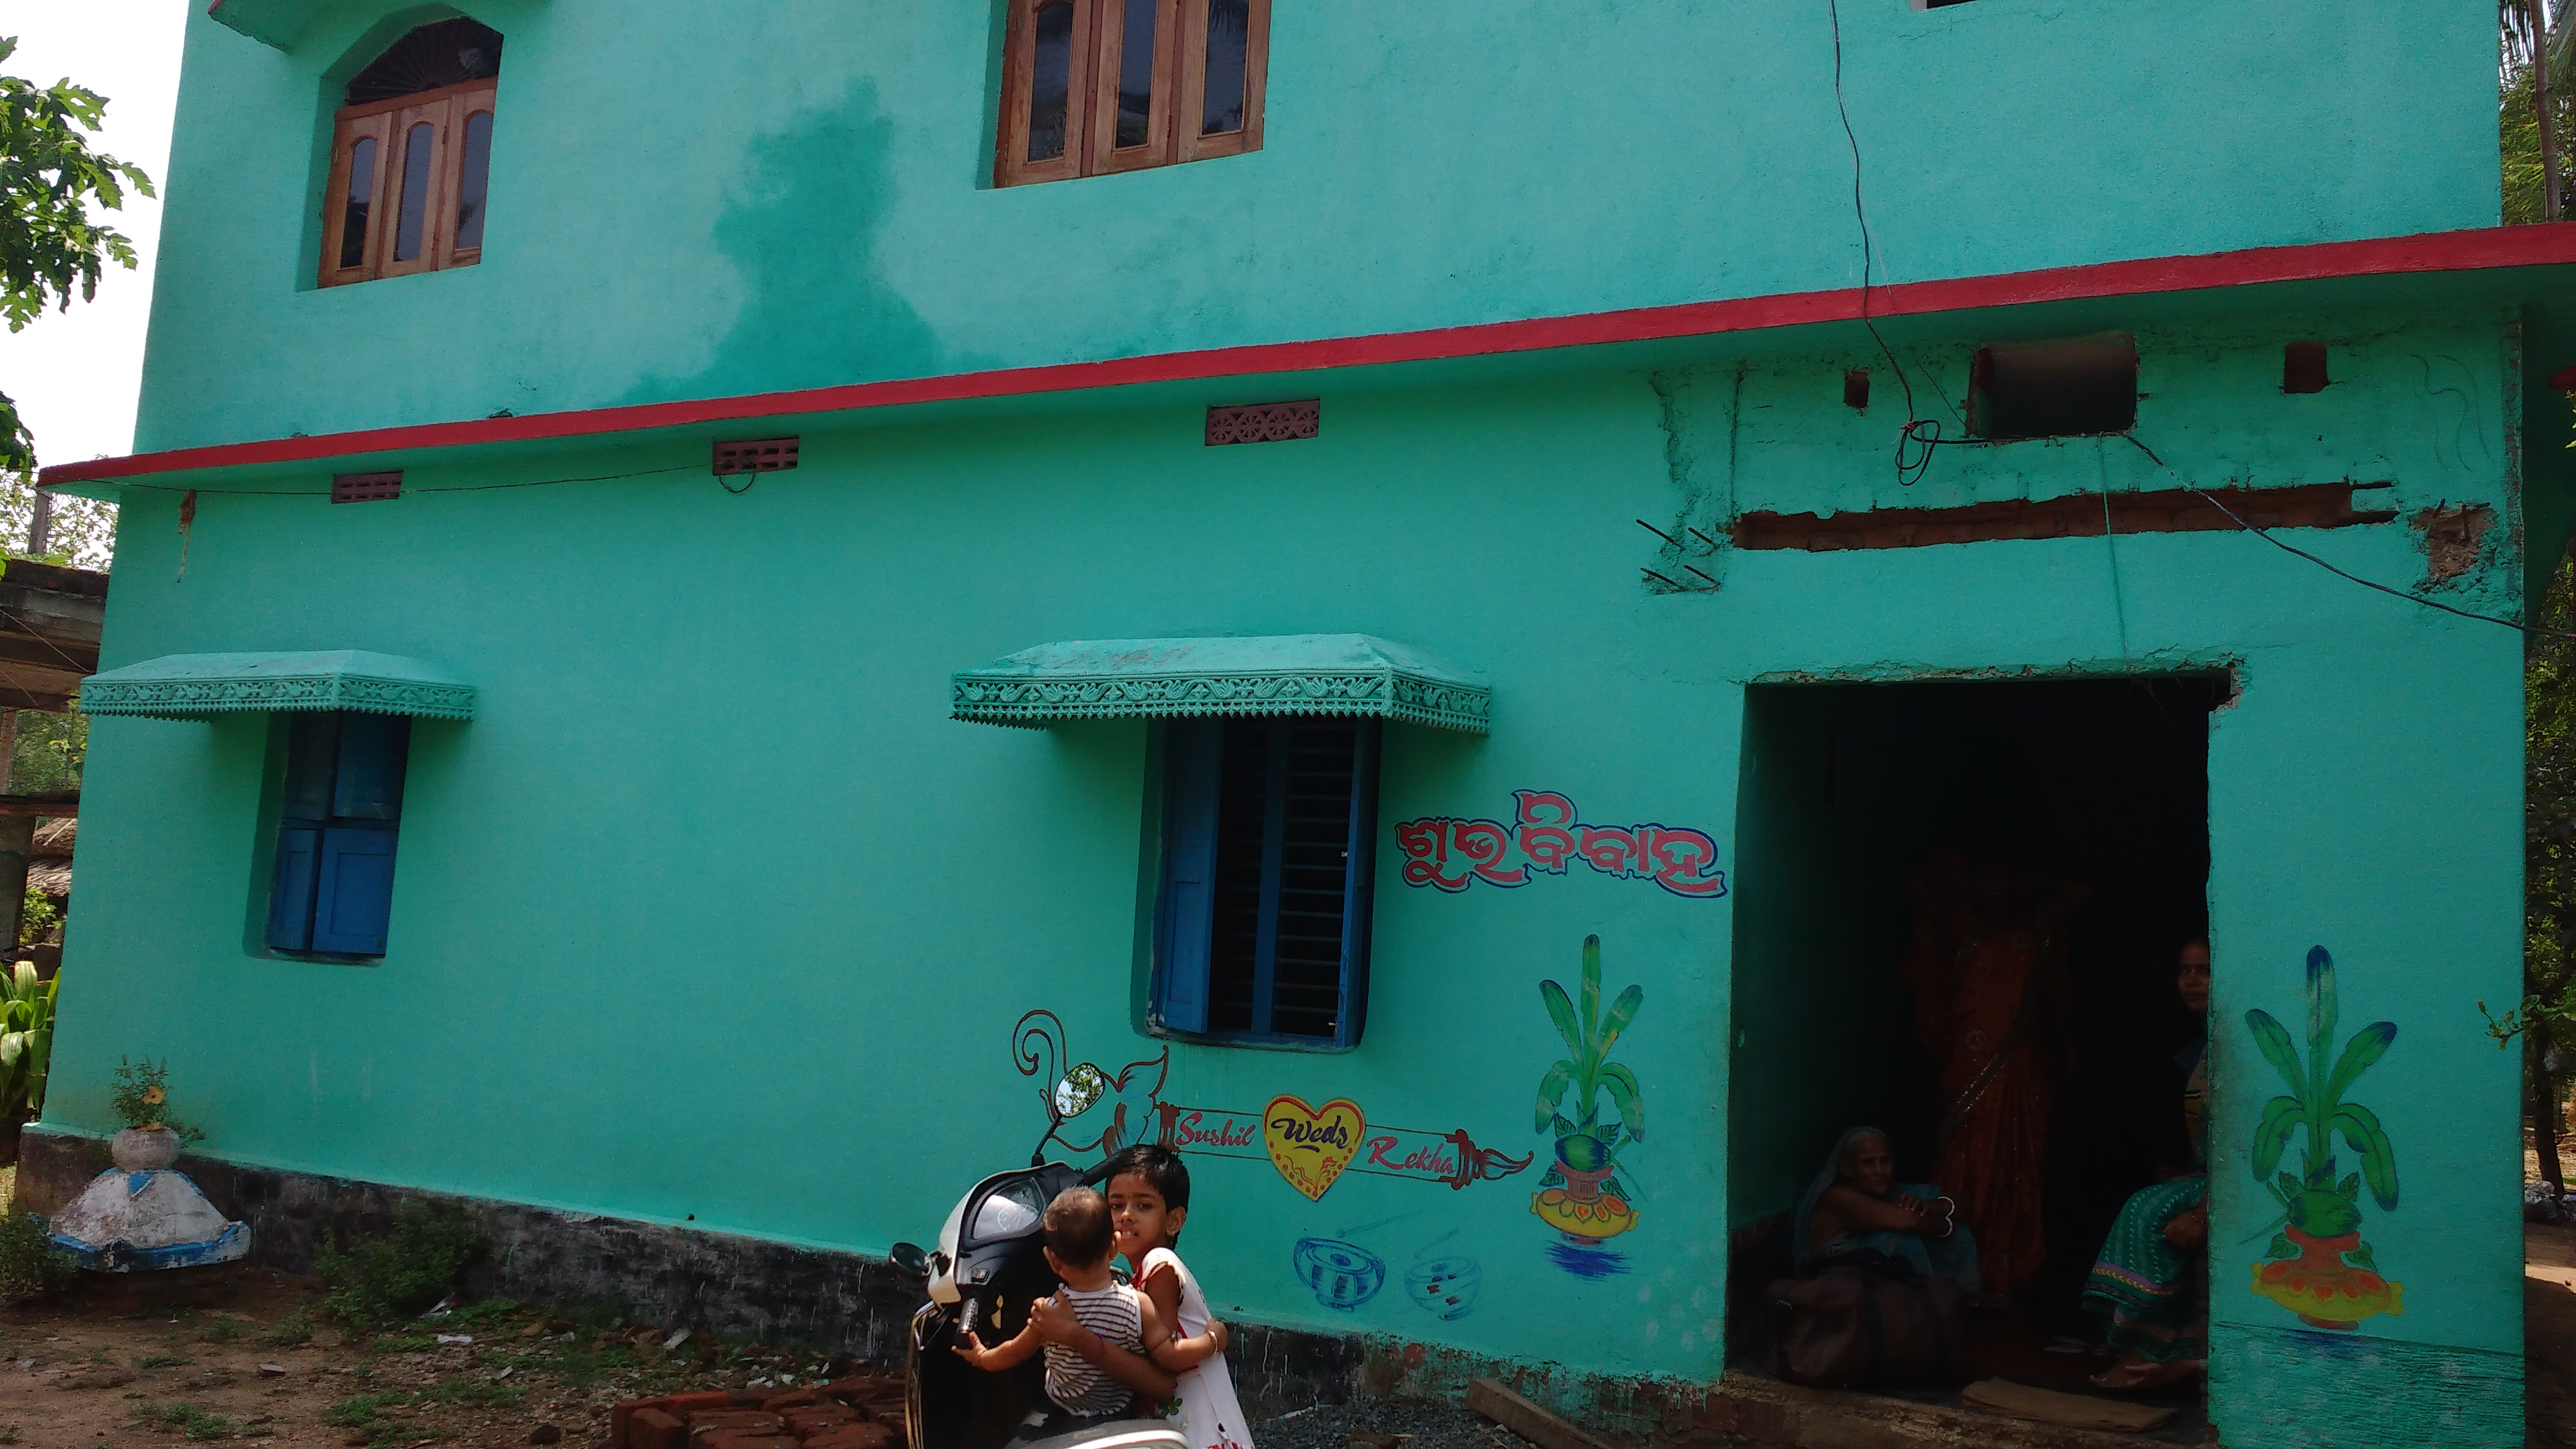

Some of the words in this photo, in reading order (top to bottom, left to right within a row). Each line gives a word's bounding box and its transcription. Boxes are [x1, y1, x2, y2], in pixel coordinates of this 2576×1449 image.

[1389, 778, 1732, 905] ଶୁଭ ବିବାହ
[1172, 1099, 1264, 1152] Sushil
[1267, 1110, 1362, 1151] Weds
[1362, 1128, 1459, 1178] Rekha